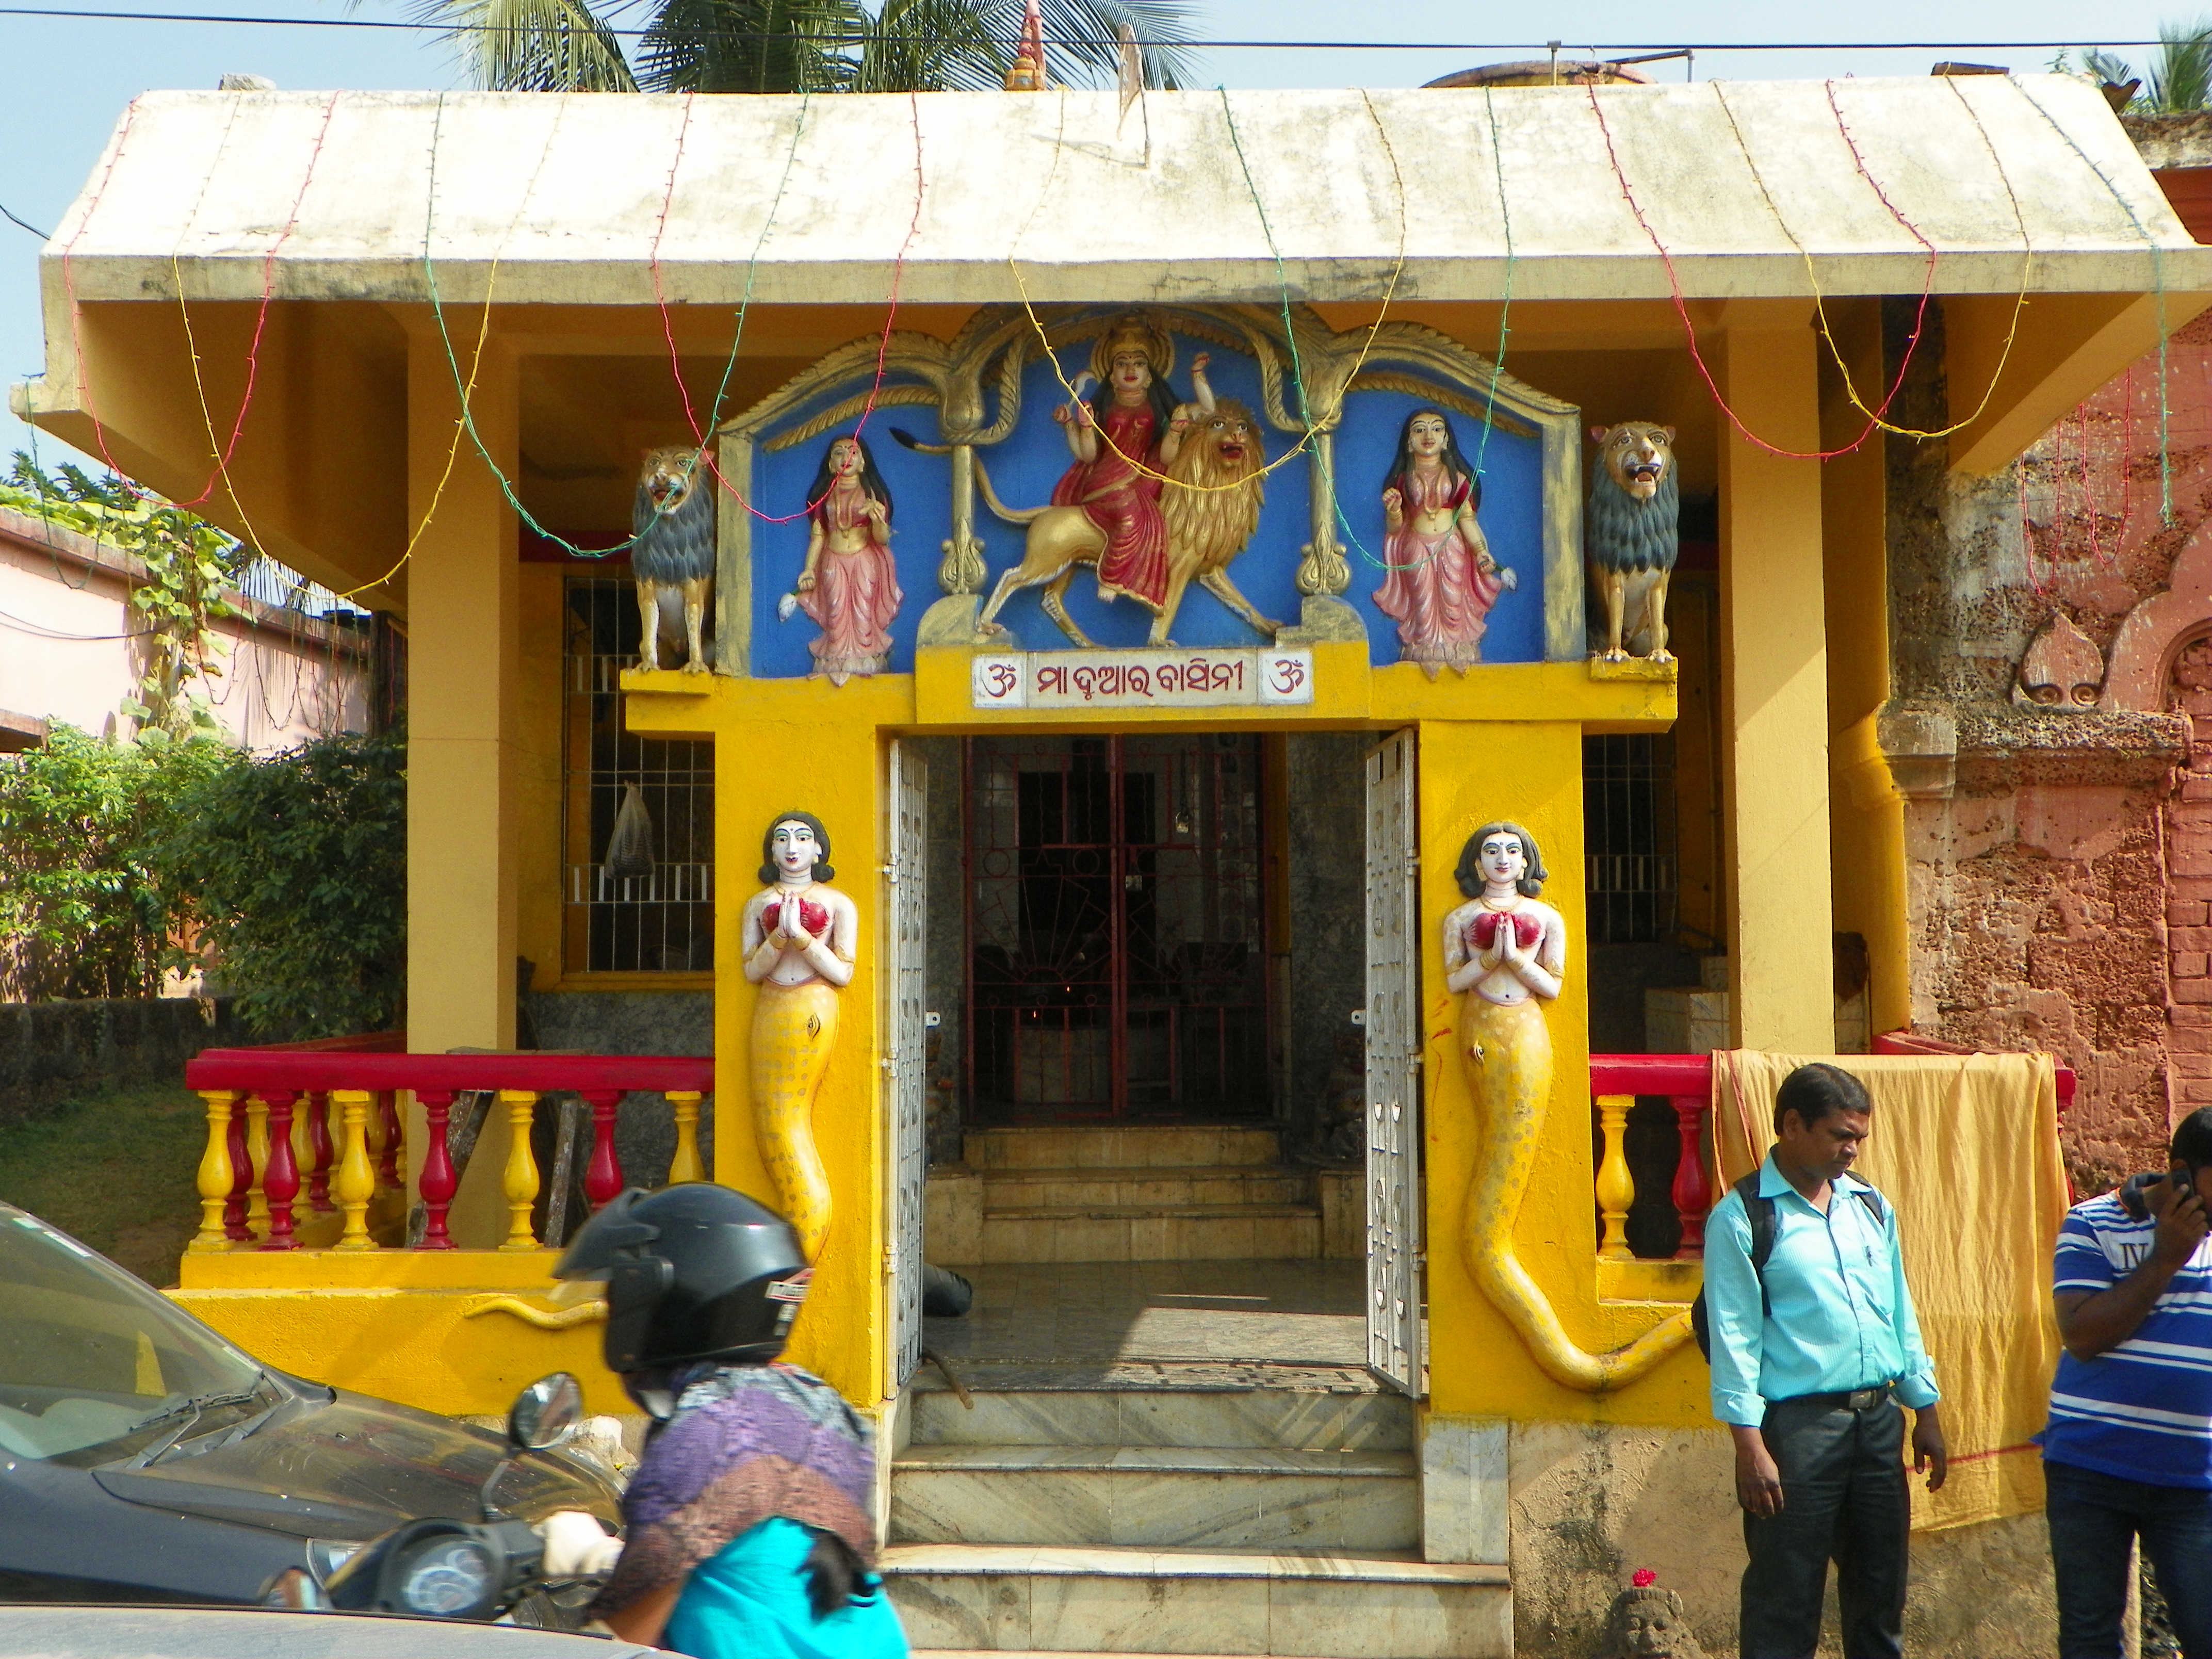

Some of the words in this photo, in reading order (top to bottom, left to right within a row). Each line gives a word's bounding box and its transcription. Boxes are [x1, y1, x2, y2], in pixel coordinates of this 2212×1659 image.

[975, 658, 1021, 704] ॐ
[1035, 662, 1156, 705] ମାଦୁଆର
[1154, 652, 1245, 694] ବାସିନୀ
[1268, 650, 1310, 698] ॐ